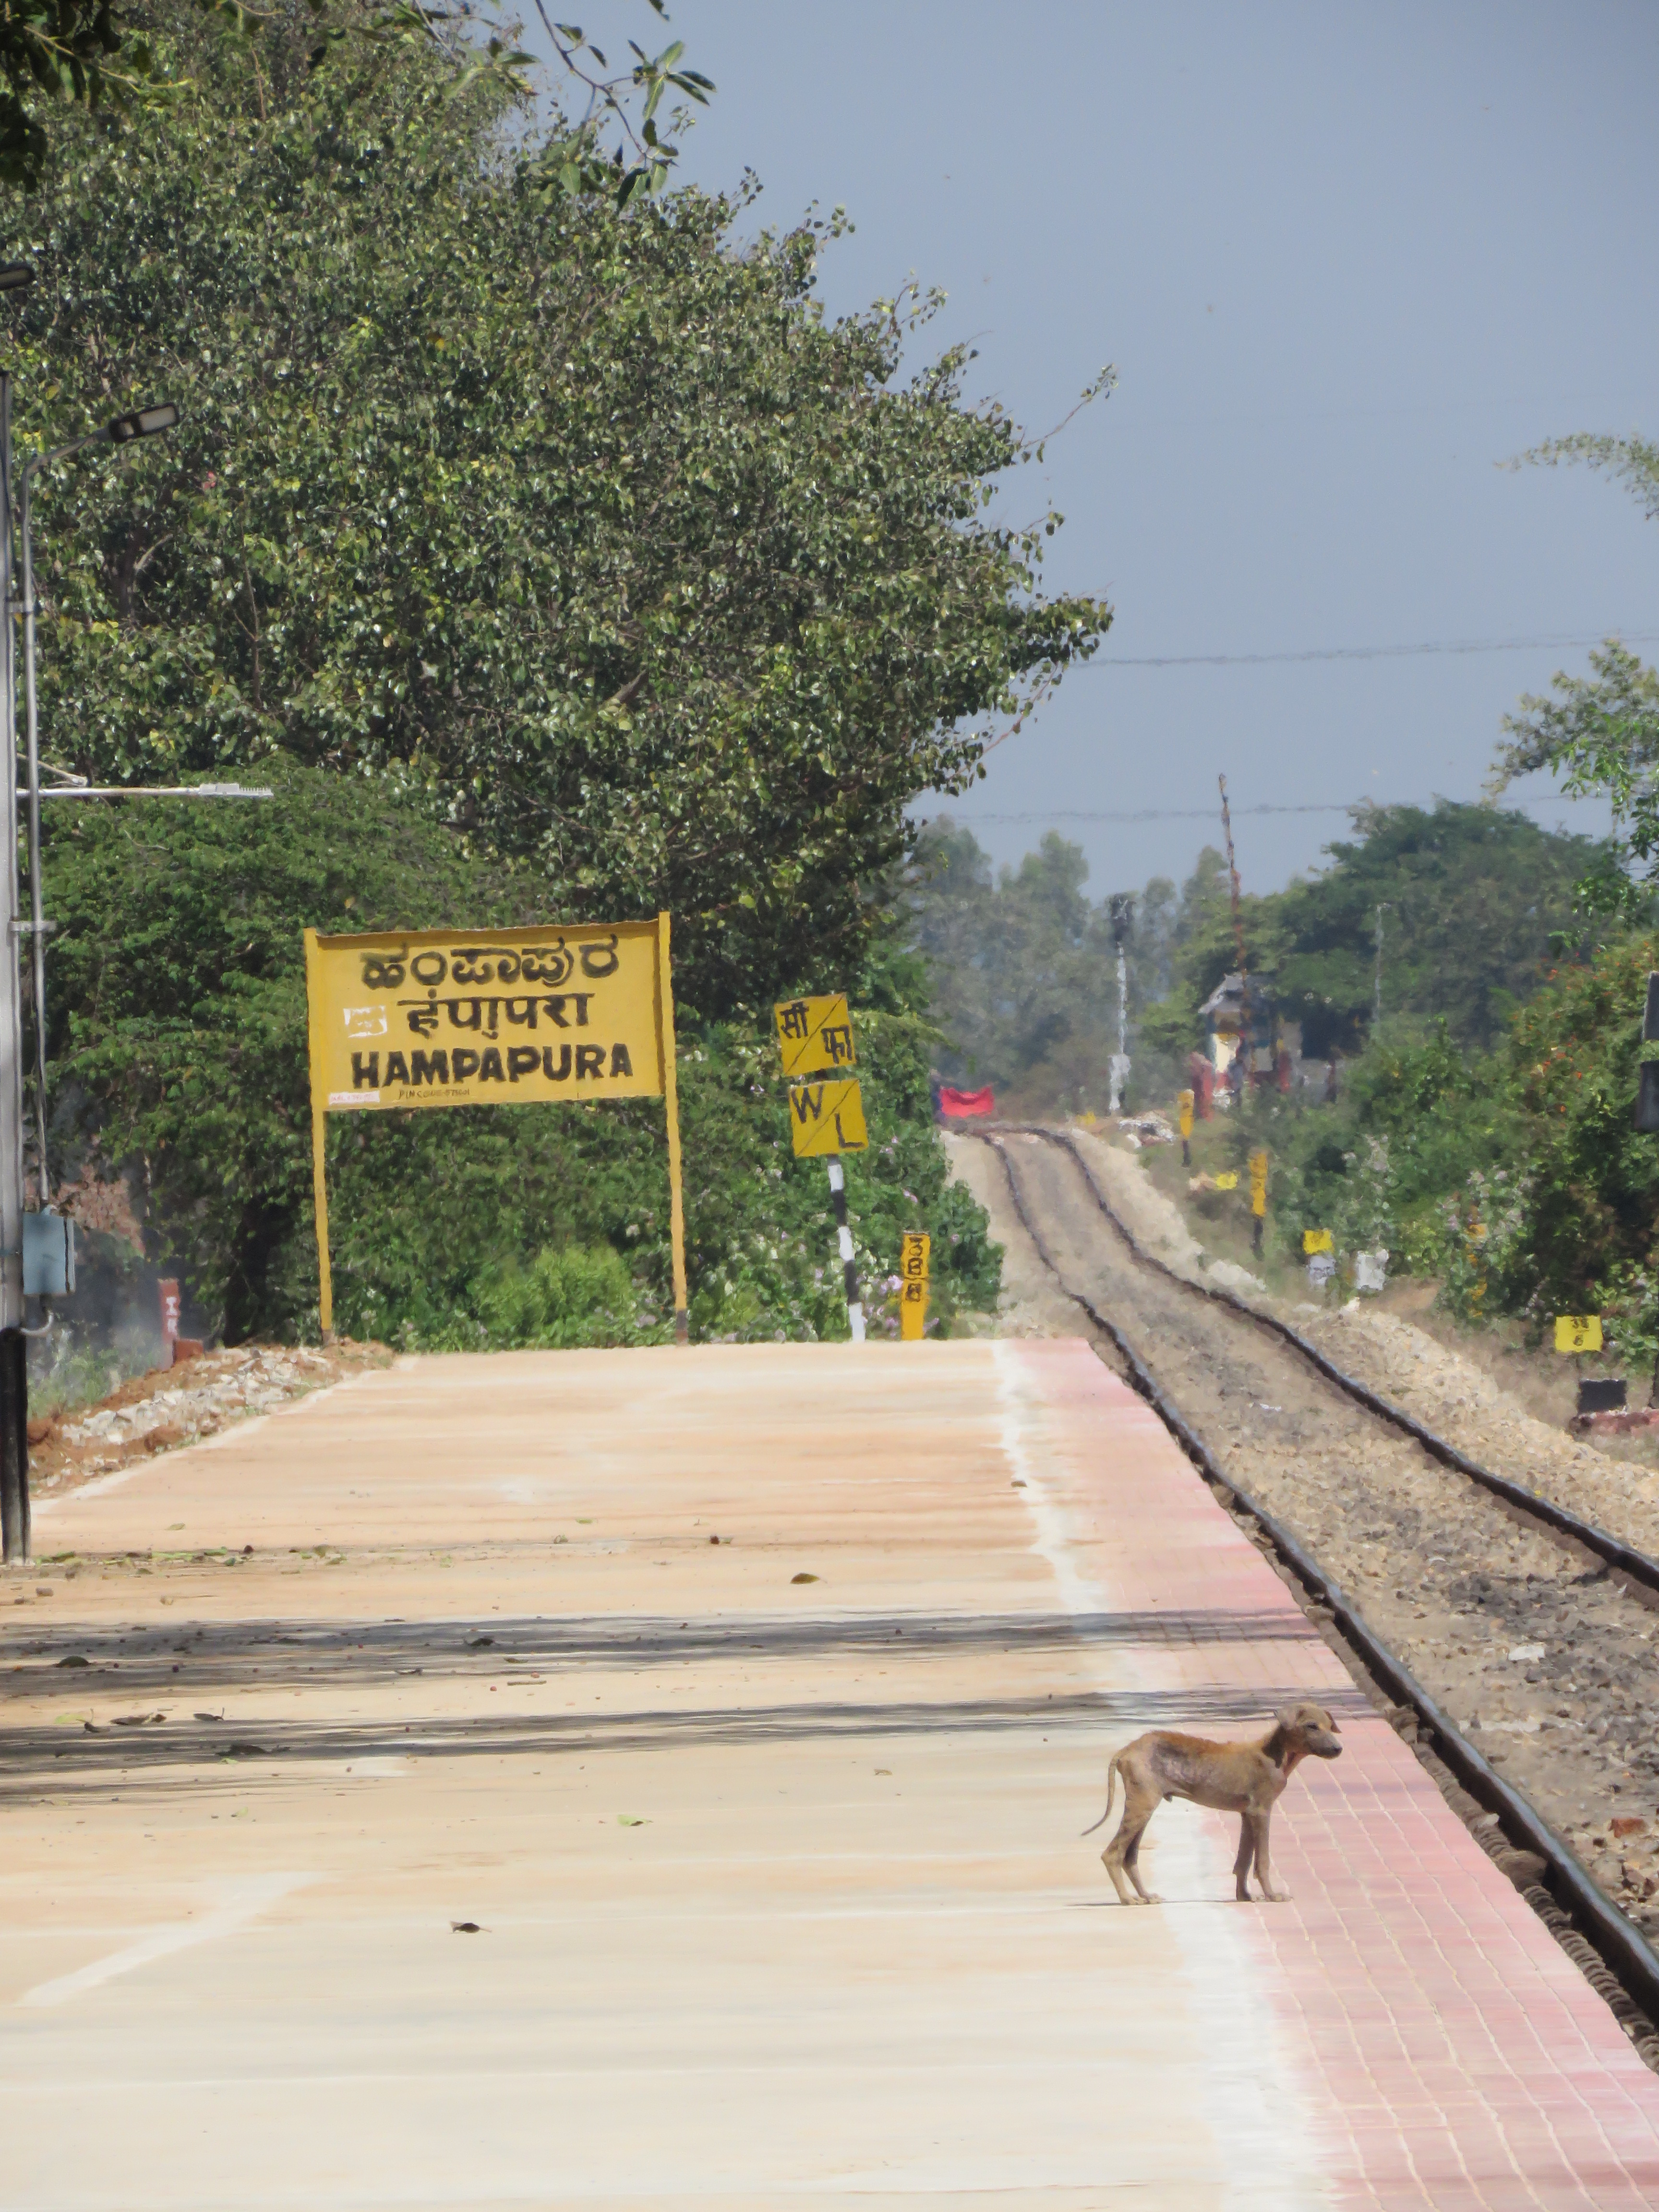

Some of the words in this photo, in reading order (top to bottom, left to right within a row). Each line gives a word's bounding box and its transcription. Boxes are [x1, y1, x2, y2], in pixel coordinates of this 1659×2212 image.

[359, 931, 624, 999] ಹಂಪಾಪುರ
[395, 984, 597, 1046] हंपापरा
[348, 1043, 639, 1095] HAMPAPURA